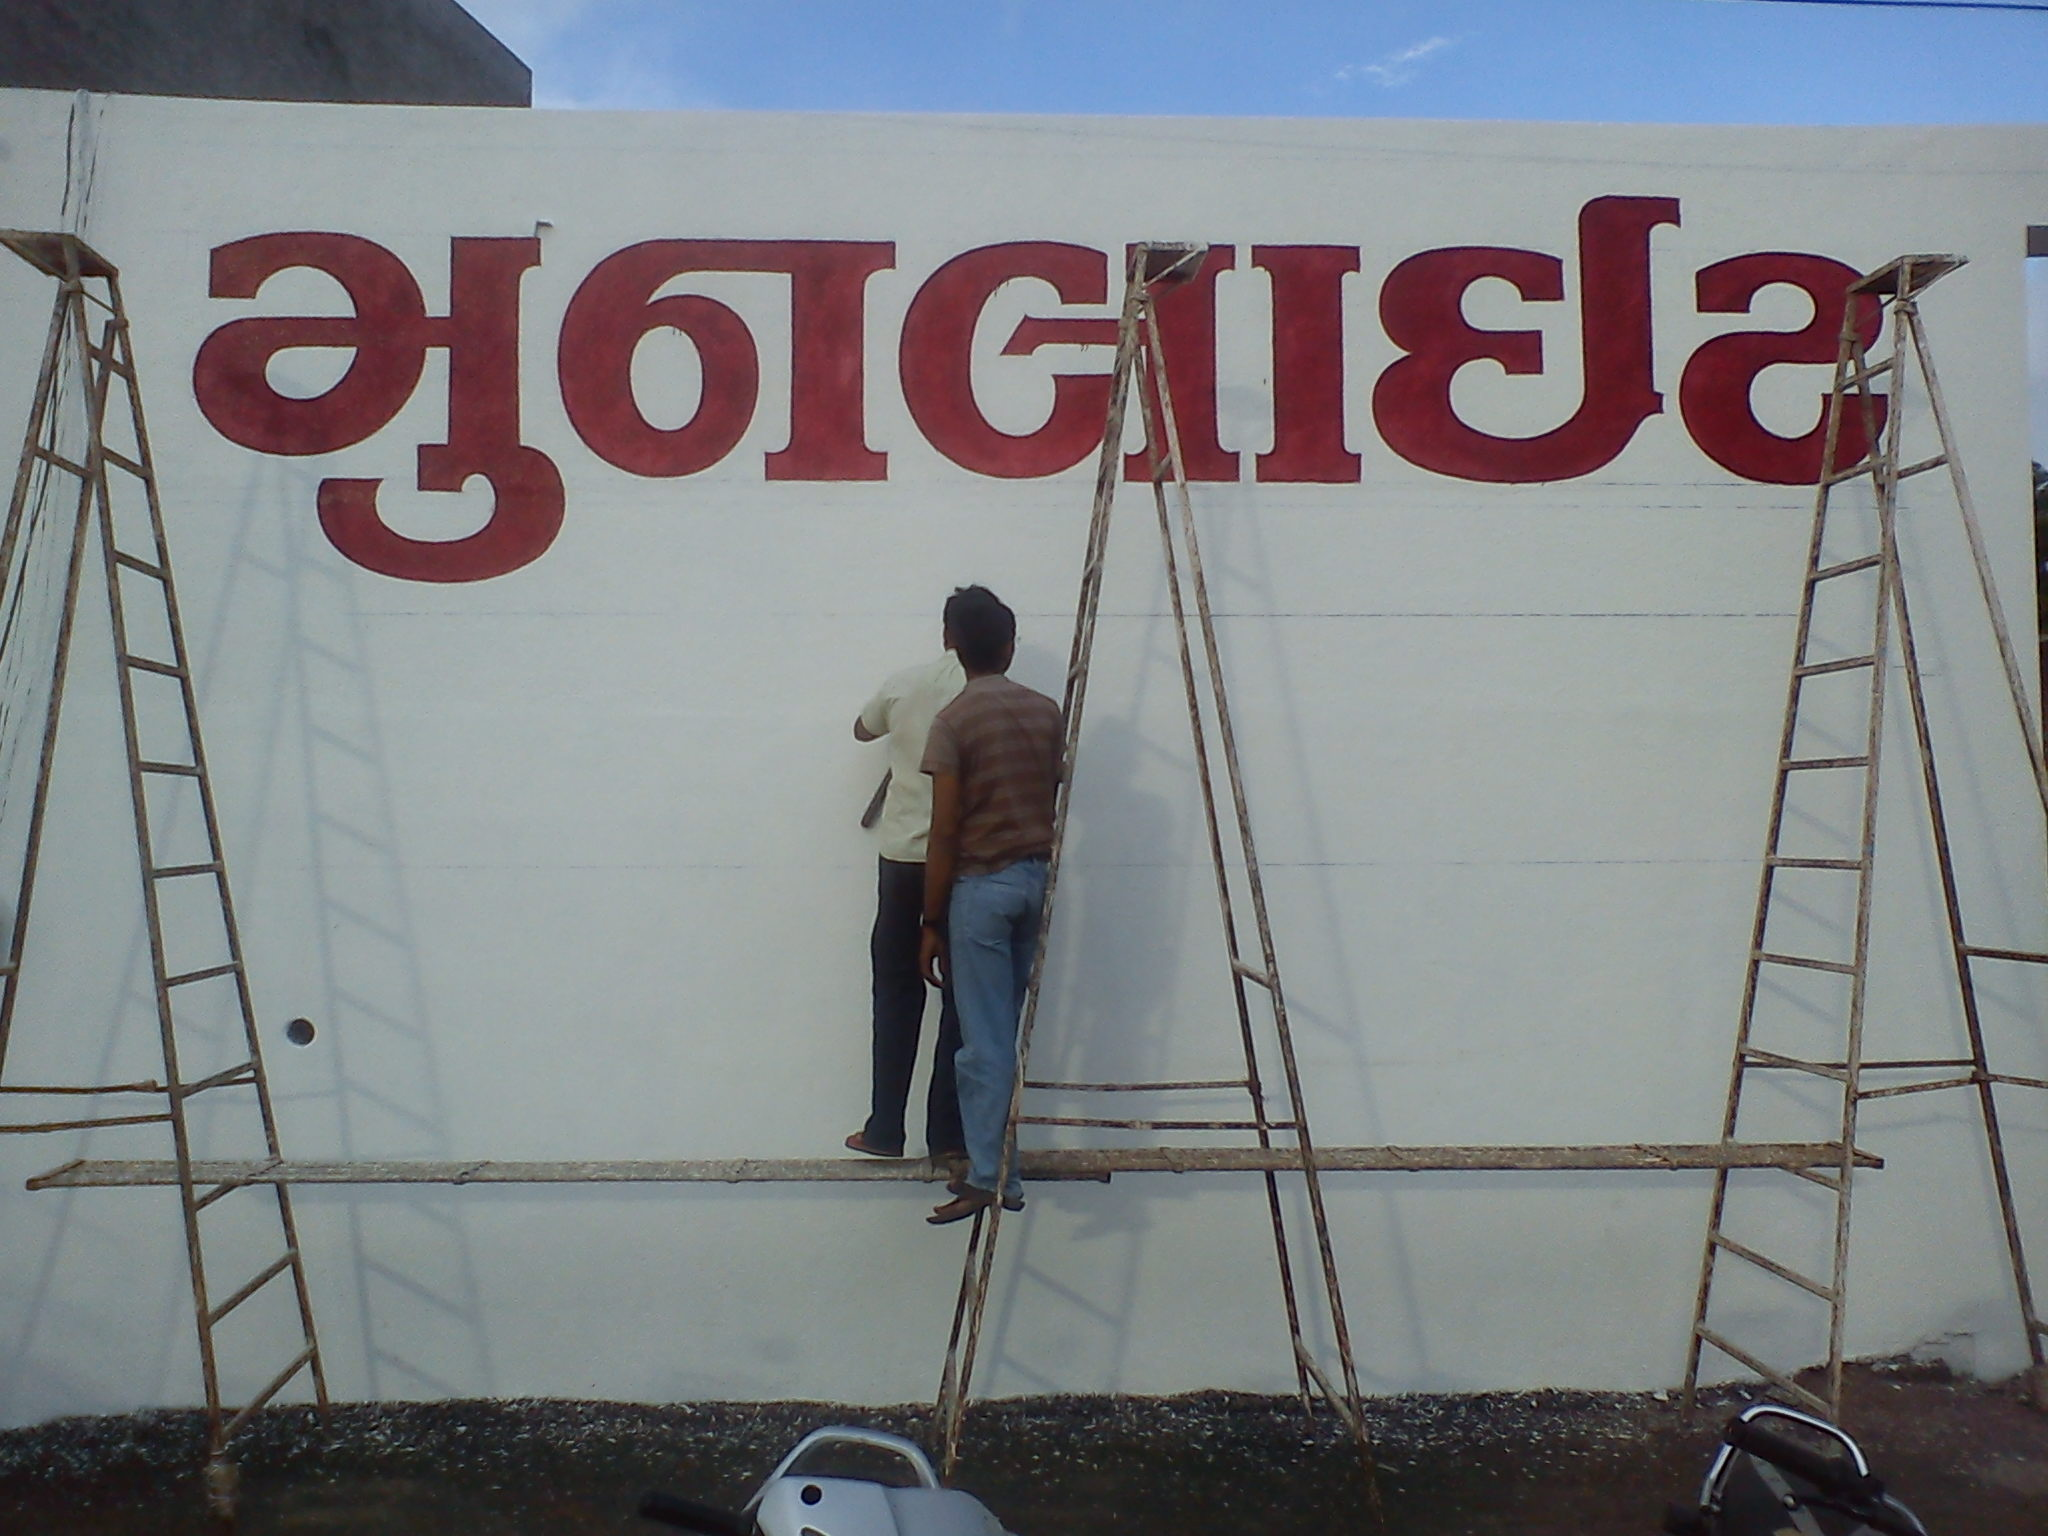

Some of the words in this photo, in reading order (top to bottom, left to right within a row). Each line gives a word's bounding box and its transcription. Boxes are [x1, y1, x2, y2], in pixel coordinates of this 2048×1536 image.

[174, 204, 926, 600] મુન
[898, 172, 1936, 544] લાઈટ